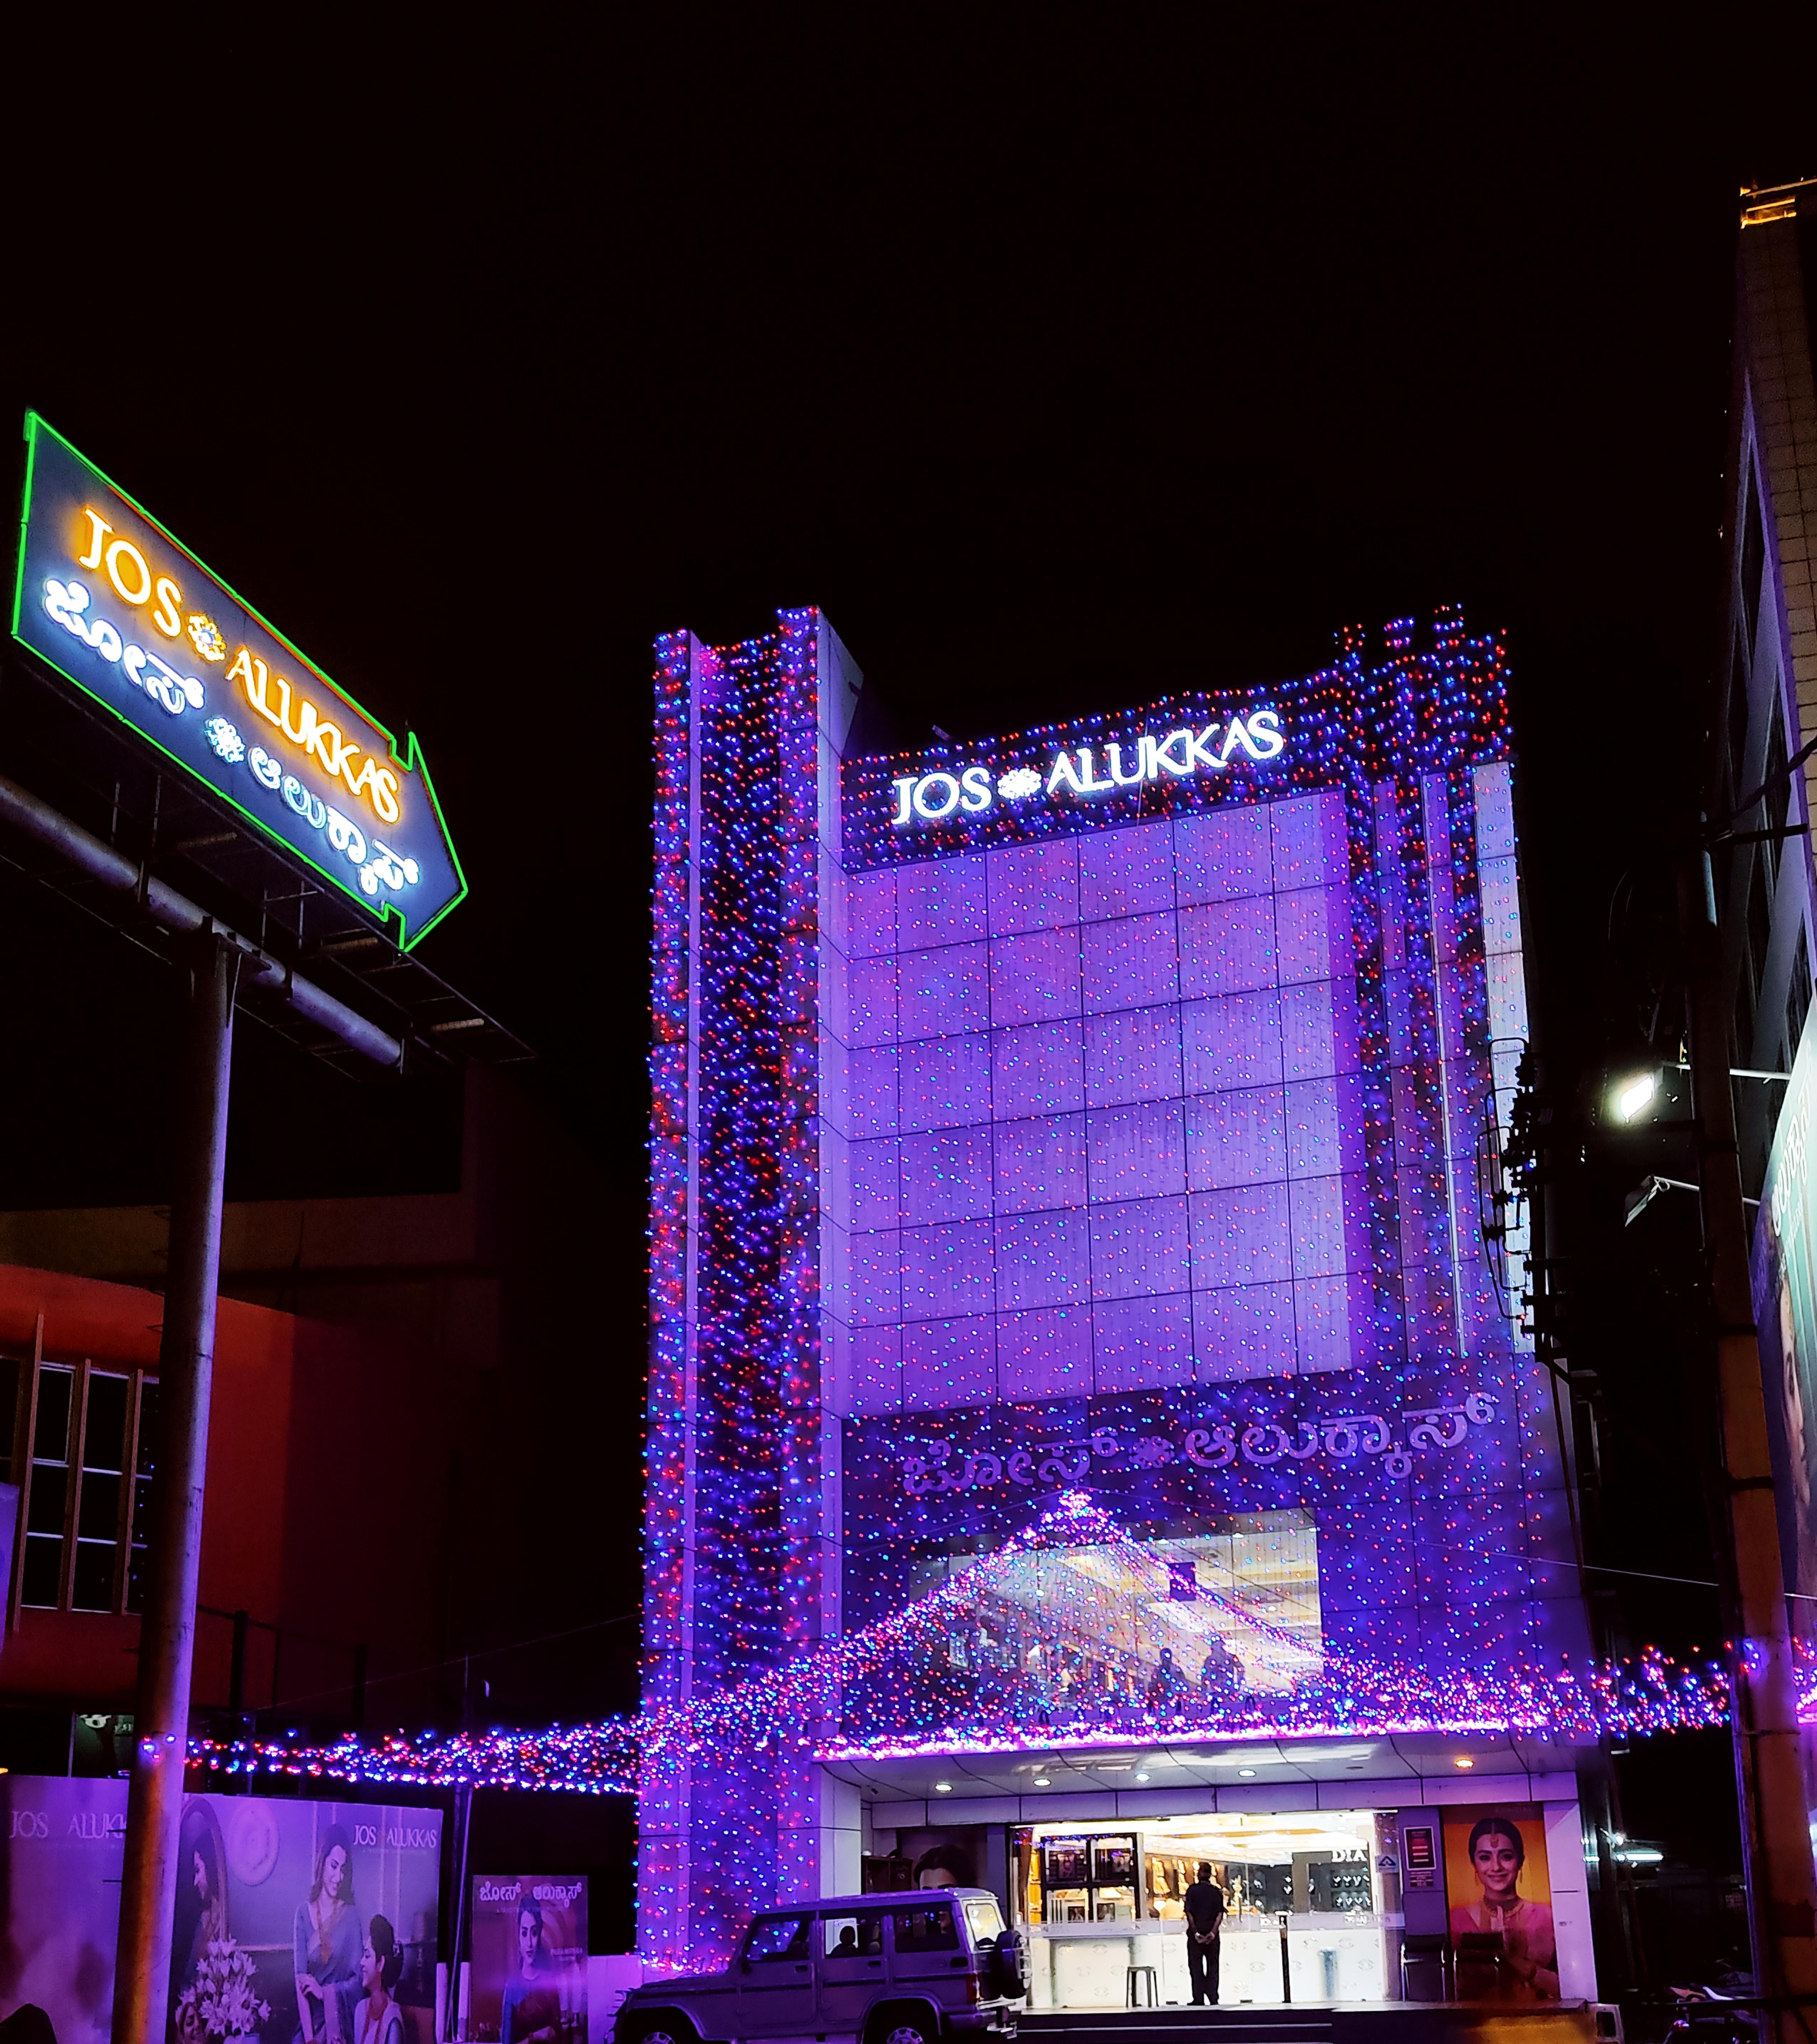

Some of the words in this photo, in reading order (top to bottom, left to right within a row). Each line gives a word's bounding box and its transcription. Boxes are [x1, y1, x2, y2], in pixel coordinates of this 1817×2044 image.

[72, 503, 186, 644] JOS
[41, 575, 210, 718] ಜೋಸ್
[220, 644, 402, 826] ALUKKAS
[241, 742, 423, 897] ಆಲುಕ್ಯಾಸ್
[882, 758, 998, 830] JOS
[1042, 703, 1289, 804] ALUKKAS
[897, 1420, 1122, 1501] ಜೋಸ್
[1179, 1386, 1504, 1483] ಆಲುಕ್ಕಾಸ್
[4, 1807, 54, 1846] JOS
[65, 1809, 135, 1845] ALUKK
[346, 1823, 377, 1849] JOS
[384, 1824, 440, 1853] ALUKKAS
[475, 1877, 523, 1904] ಜೋಸ್
[530, 1881, 586, 1911] ಆಲುಕ್ಕಾಸ್